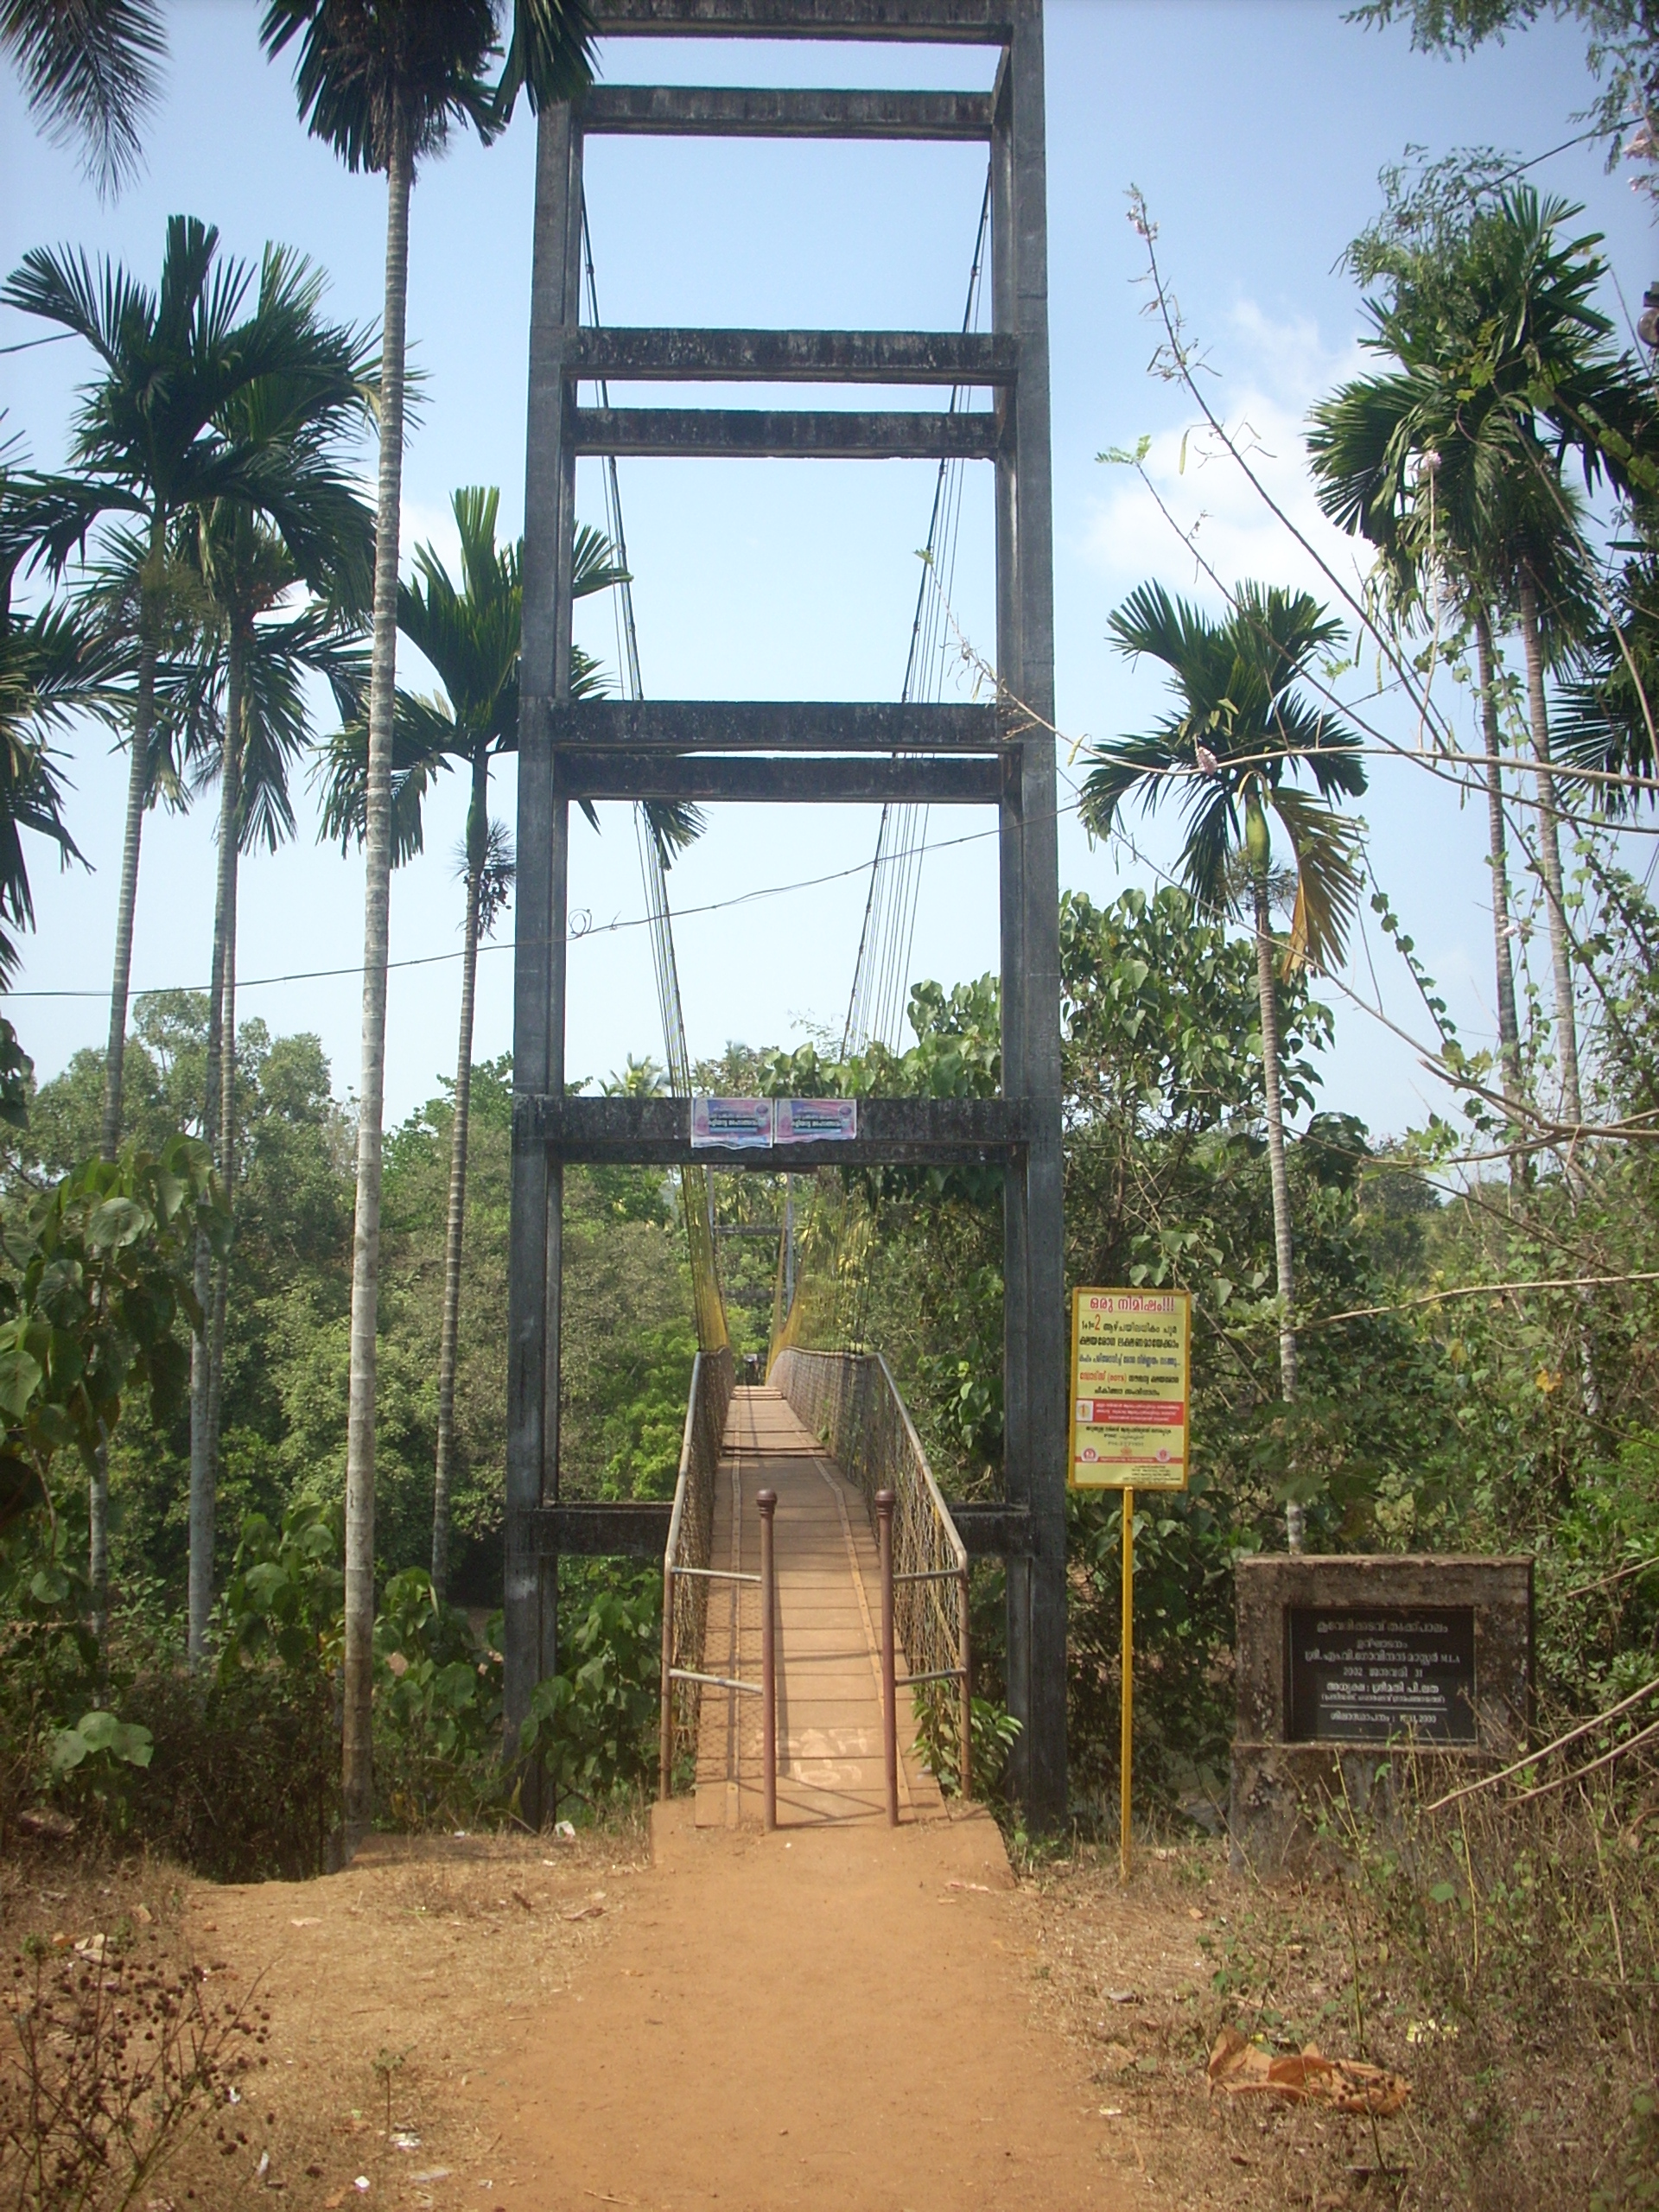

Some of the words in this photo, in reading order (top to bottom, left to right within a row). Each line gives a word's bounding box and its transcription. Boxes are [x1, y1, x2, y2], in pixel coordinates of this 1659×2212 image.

[1084, 1289, 1117, 1314] ഒരു
[1114, 1288, 1178, 1317] നിമിഷം!!!
[1073, 1312, 1103, 1334] 1+1=2
[1311, 1611, 1389, 1636] കൂവേദിക്കടവ്
[1438, 1651, 1465, 1667] MLA
[1340, 1663, 1367, 1681] 2002
[1363, 1660, 1412, 1681] ജനുവരി
[1413, 1668, 1427, 1681] 31